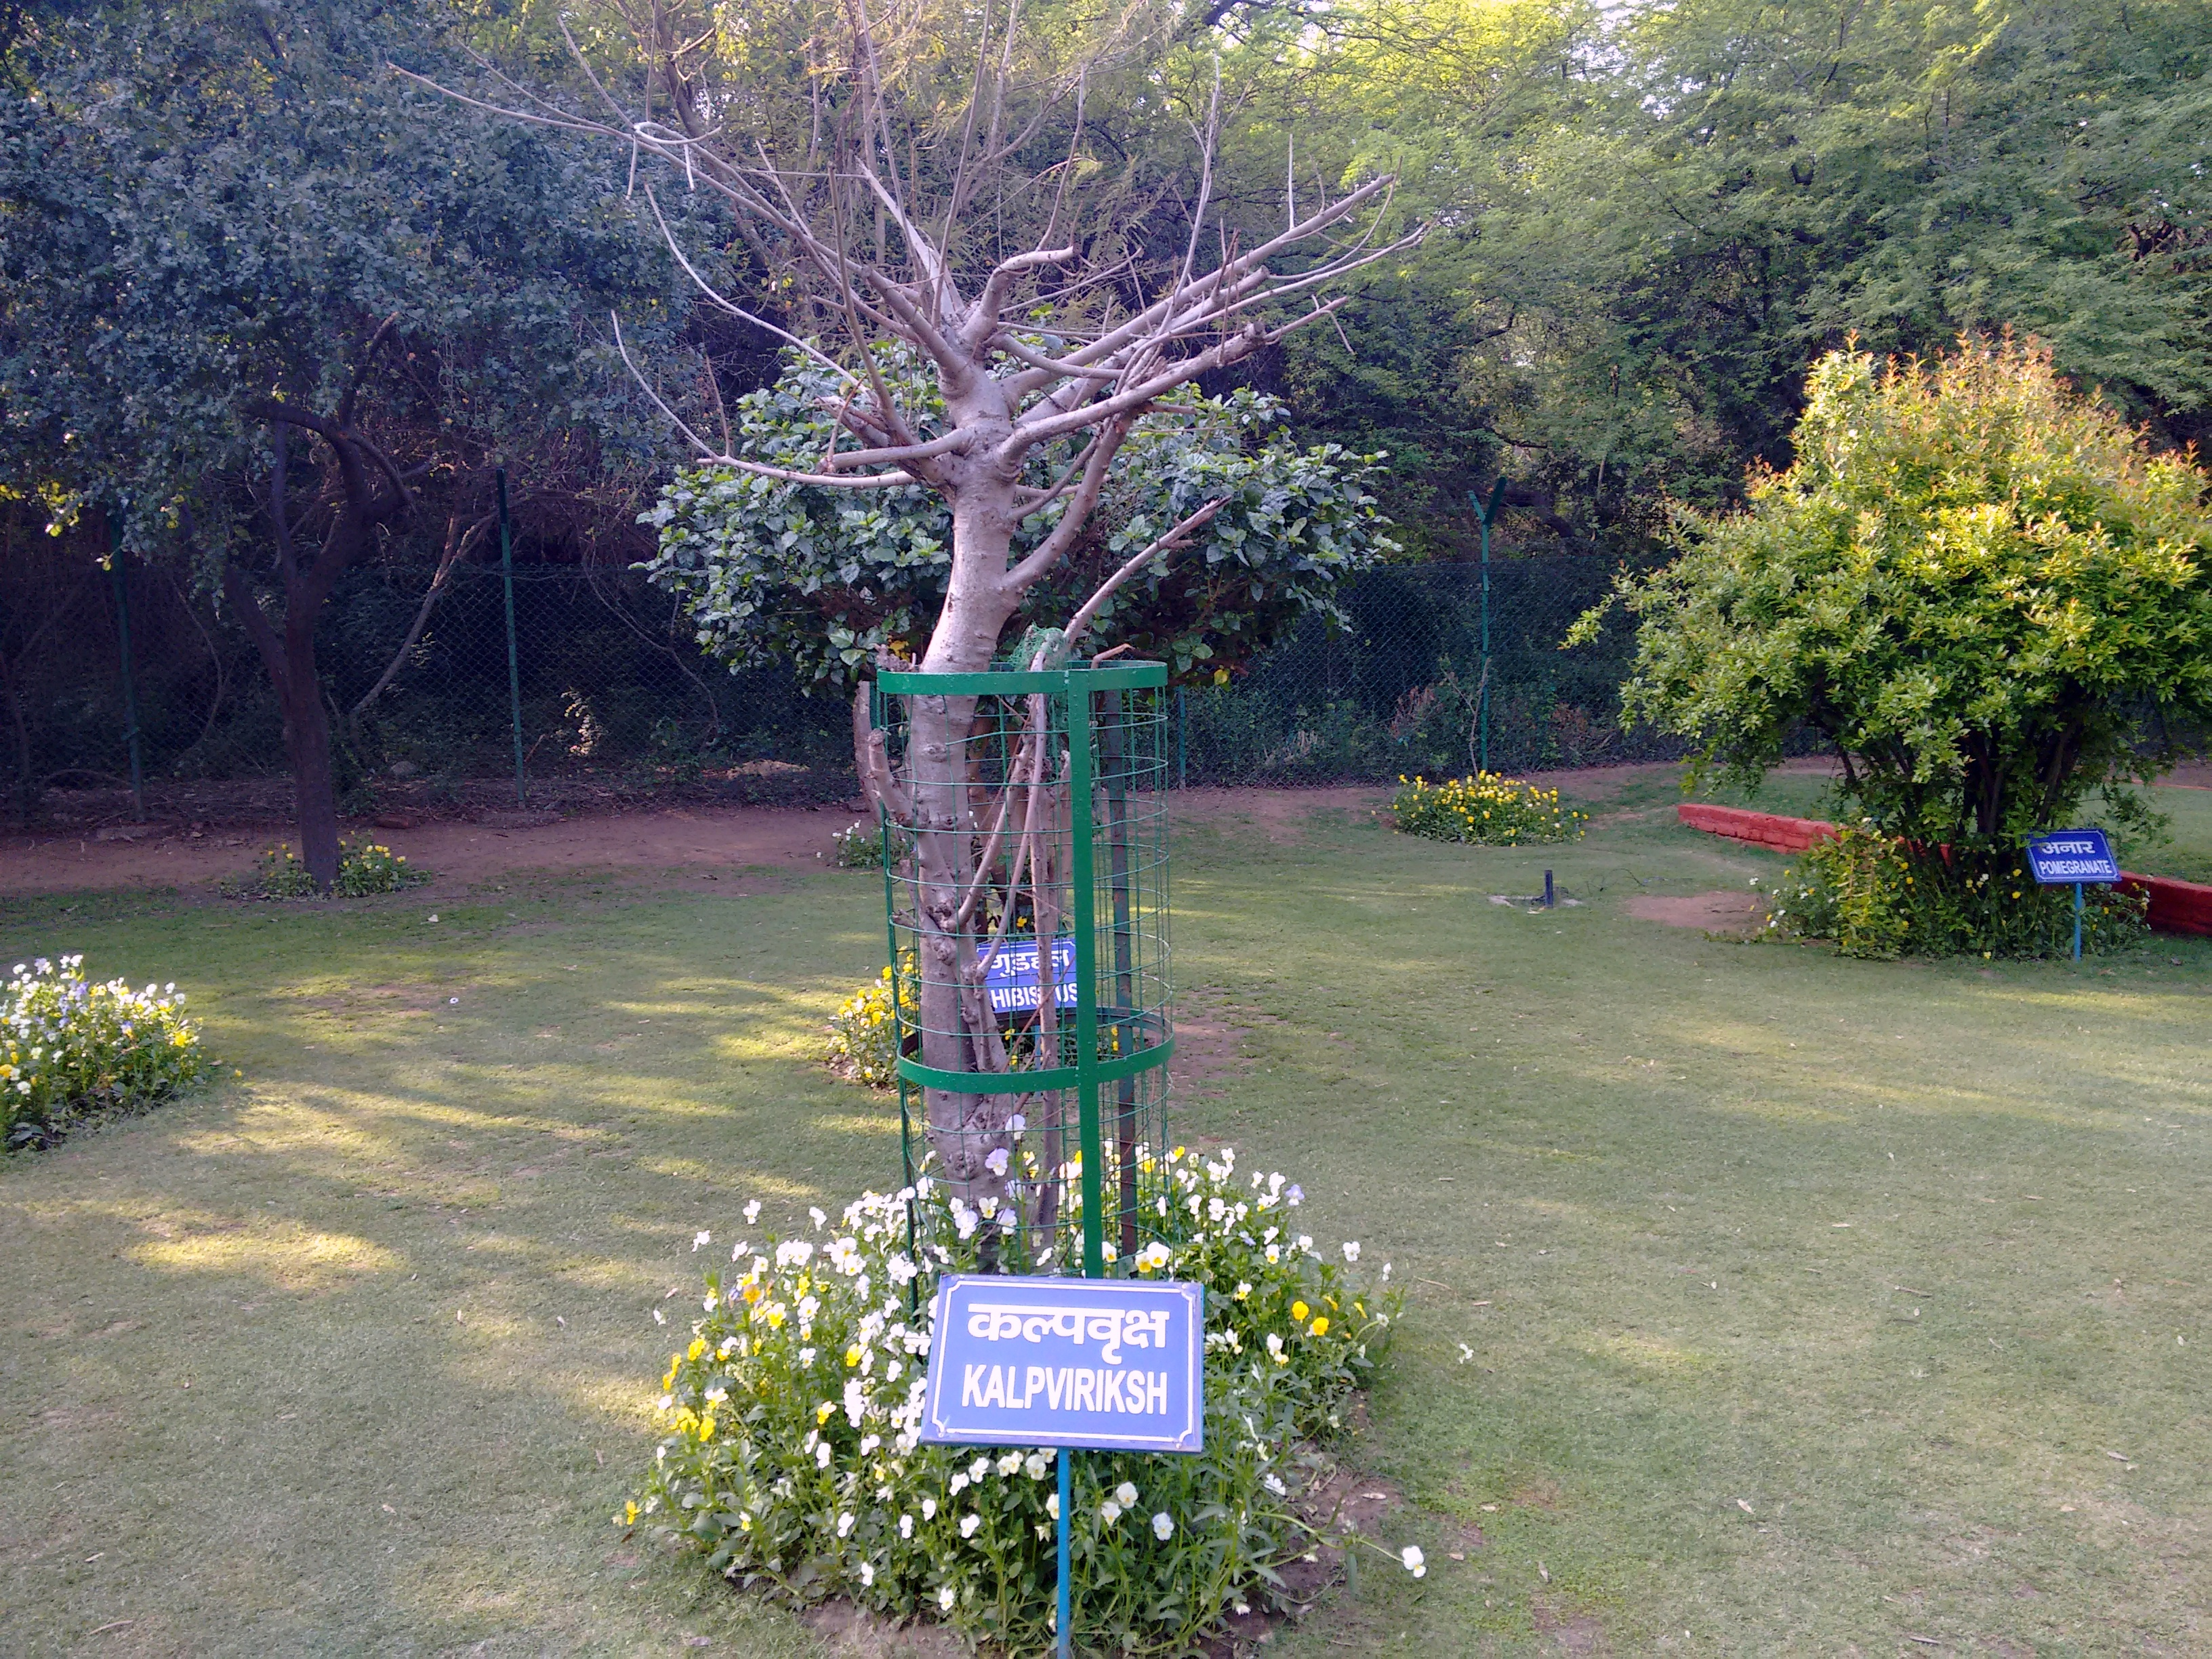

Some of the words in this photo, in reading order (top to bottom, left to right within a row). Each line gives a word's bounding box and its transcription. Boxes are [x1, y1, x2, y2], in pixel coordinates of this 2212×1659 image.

[2039, 840, 2096, 858] अनार
[2037, 857, 2115, 874] POMEGRANATE
[984, 947, 1072, 979] गुडहल
[988, 980, 1080, 1010] HIBISUS
[966, 1300, 1170, 1367] कल्पवृक्ष
[955, 1363, 1168, 1418] KALPVIRIKSH